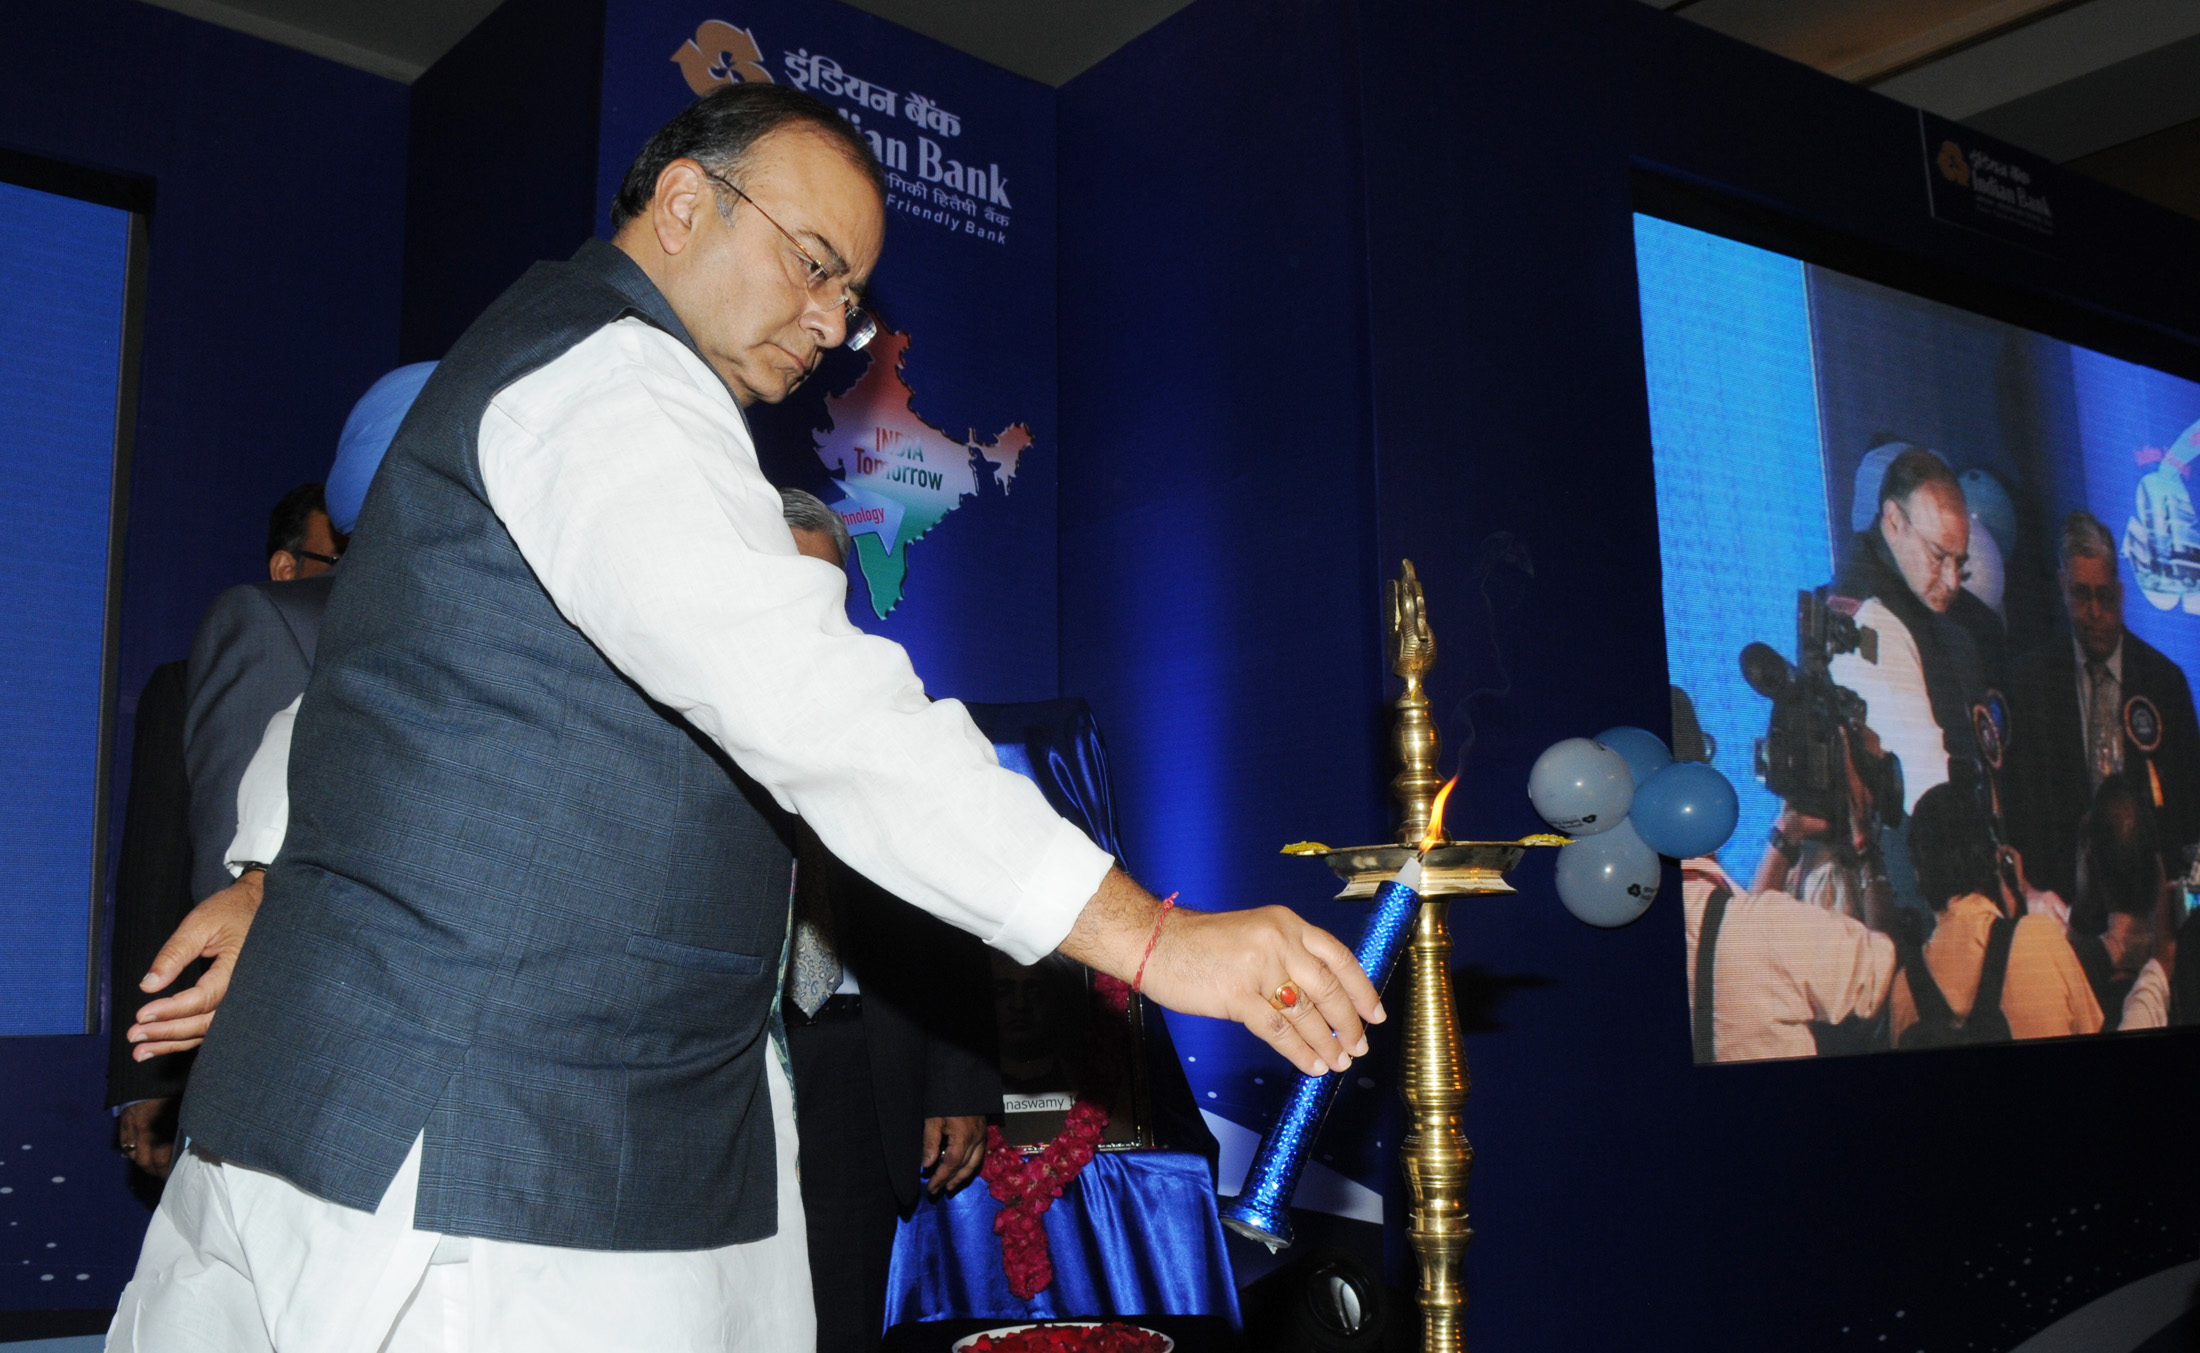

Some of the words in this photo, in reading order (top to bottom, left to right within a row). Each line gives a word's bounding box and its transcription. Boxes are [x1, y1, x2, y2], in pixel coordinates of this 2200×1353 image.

[779, 43, 903, 122] इंडियन
[898, 85, 968, 145] बैंक
[918, 134, 1013, 211] Bank
[883, 188, 964, 235] Friendly
[926, 179, 982, 222] हितैषी
[963, 213, 1015, 251] Bank
[977, 201, 1016, 233] बैंक
[870, 422, 932, 464] INDIA
[850, 444, 949, 492] Tomorrow